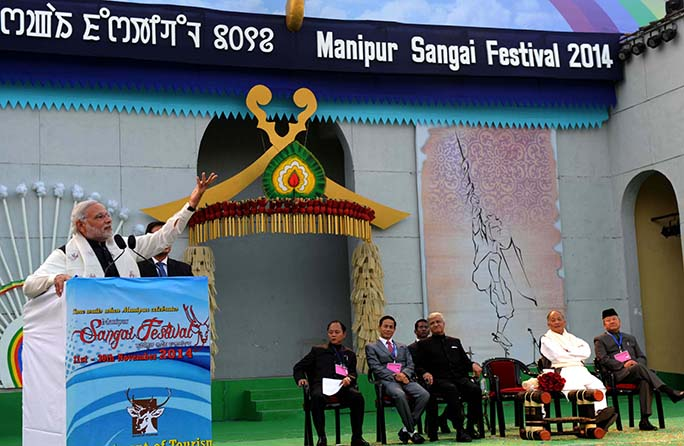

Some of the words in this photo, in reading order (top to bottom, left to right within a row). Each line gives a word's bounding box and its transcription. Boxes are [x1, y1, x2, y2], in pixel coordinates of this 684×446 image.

[0, 1, 79, 43] ꯁꯉꯥꯏ
[77, 0, 209, 53] ꯐꯦꯁꯇꯤꯚꯦꯜ
[210, 21, 275, 56] ꯲꯰꯱꯴
[312, 26, 403, 71] Manipur
[407, 33, 481, 73] Sangai
[476, 35, 567, 73] Festival
[563, 38, 615, 72] 2014
[78, 315, 136, 350] Sanga
[137, 315, 202, 346] Festival
[154, 344, 199, 368] 2014